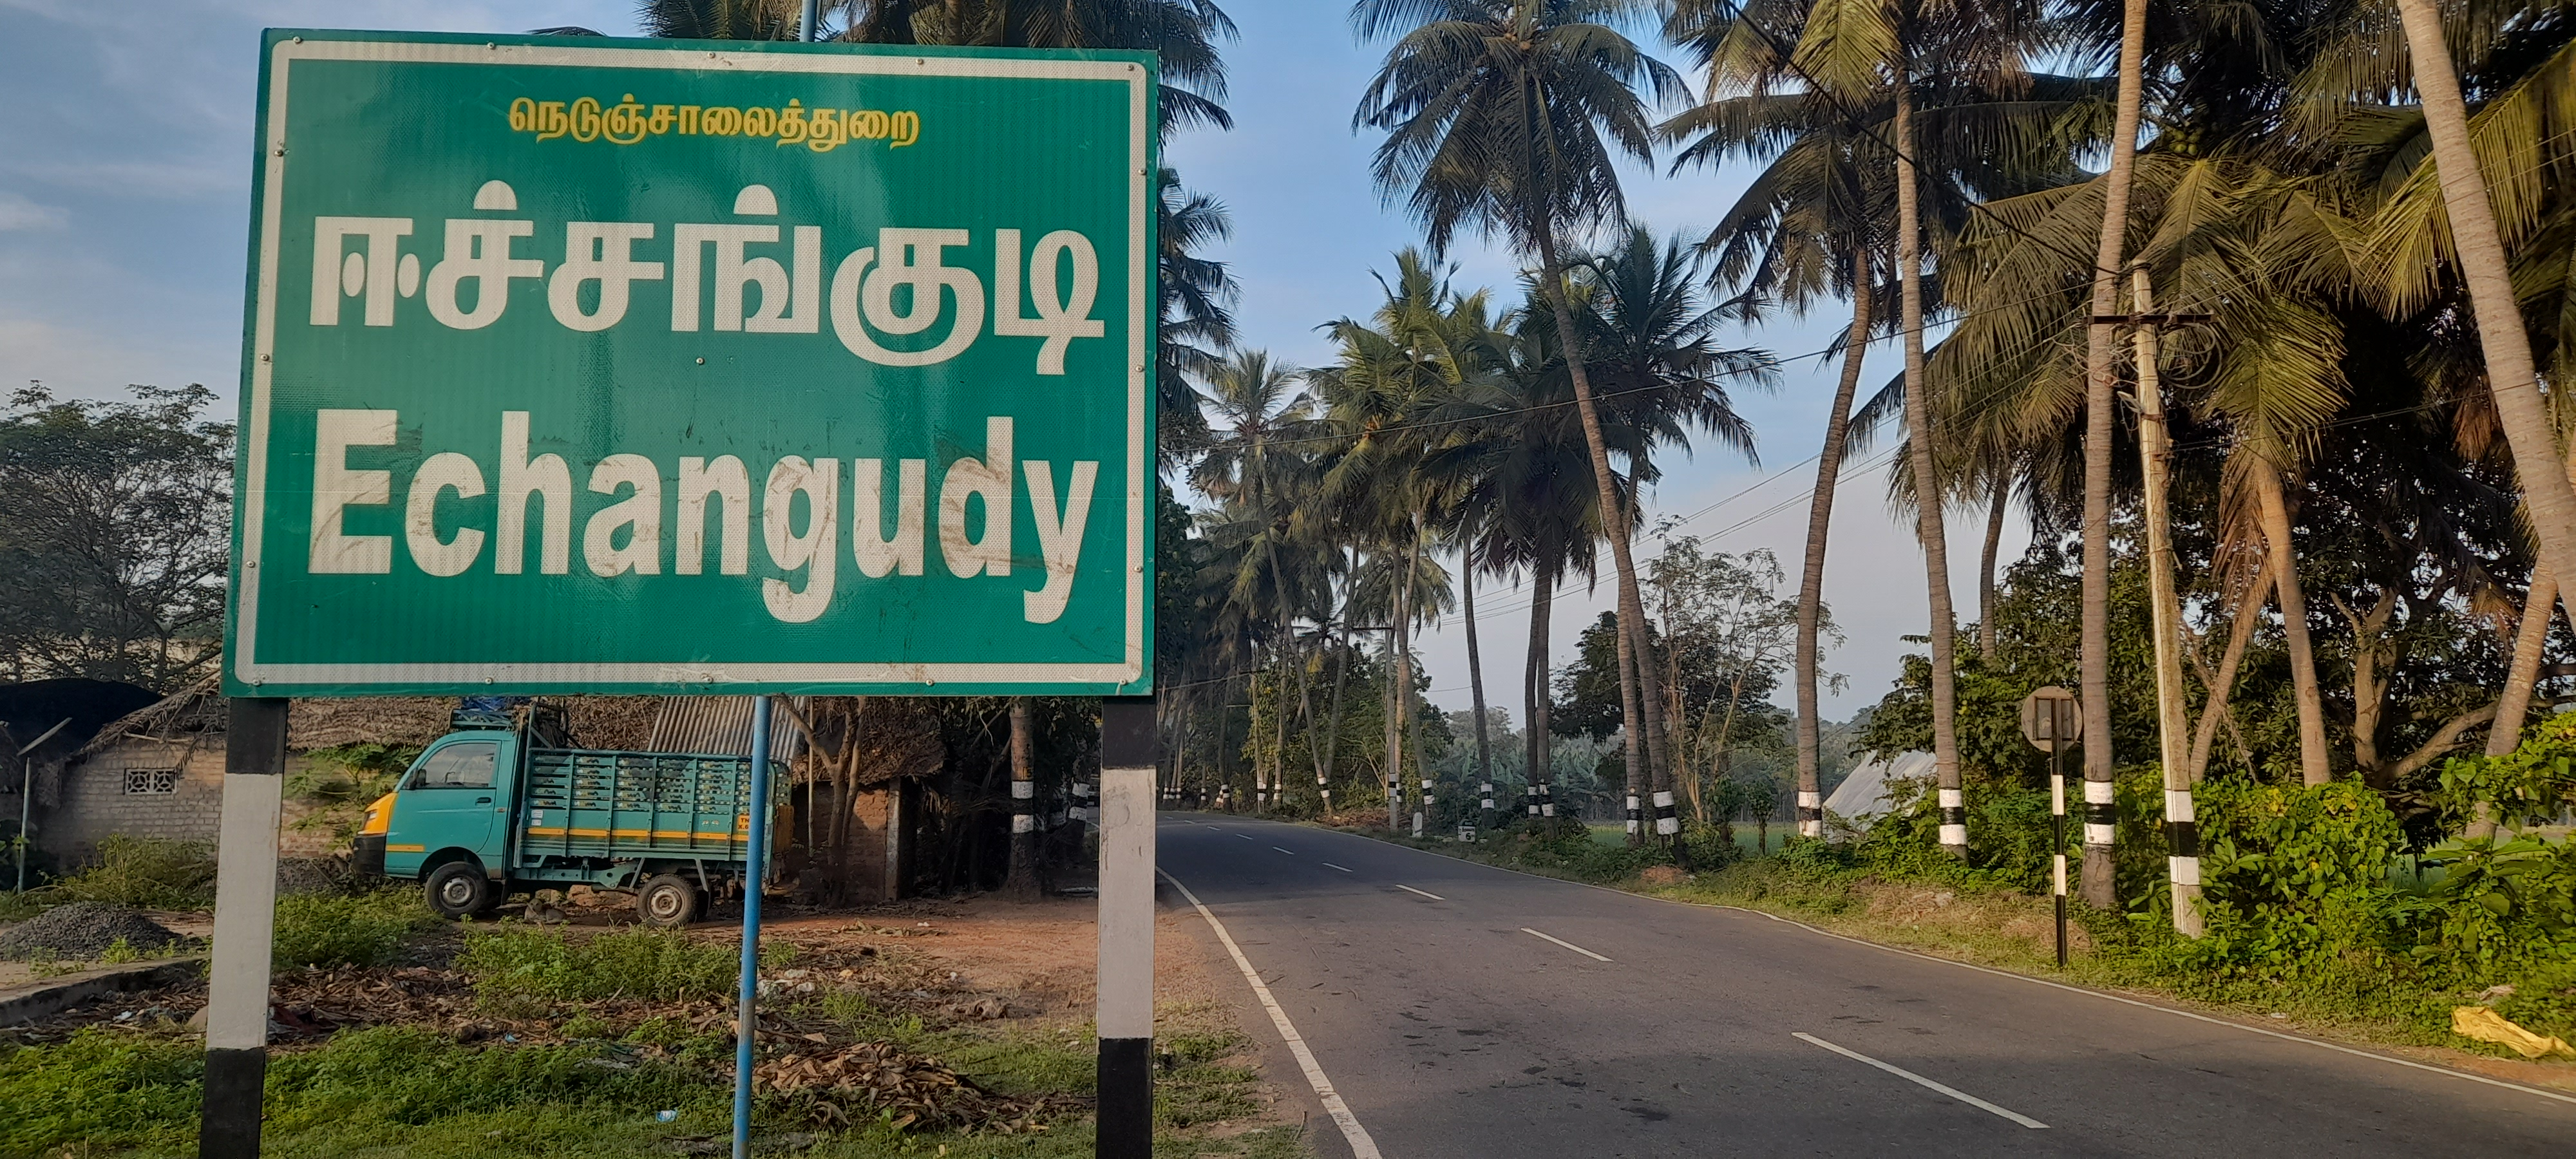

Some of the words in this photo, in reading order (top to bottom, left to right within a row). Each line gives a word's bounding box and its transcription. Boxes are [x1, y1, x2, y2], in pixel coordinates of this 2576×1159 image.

[505, 89, 925, 155] நெடுஞ்சாலைத்துறை
[302, 172, 1109, 382] ஈச்சங்குடி
[304, 403, 1106, 628] Echangudy